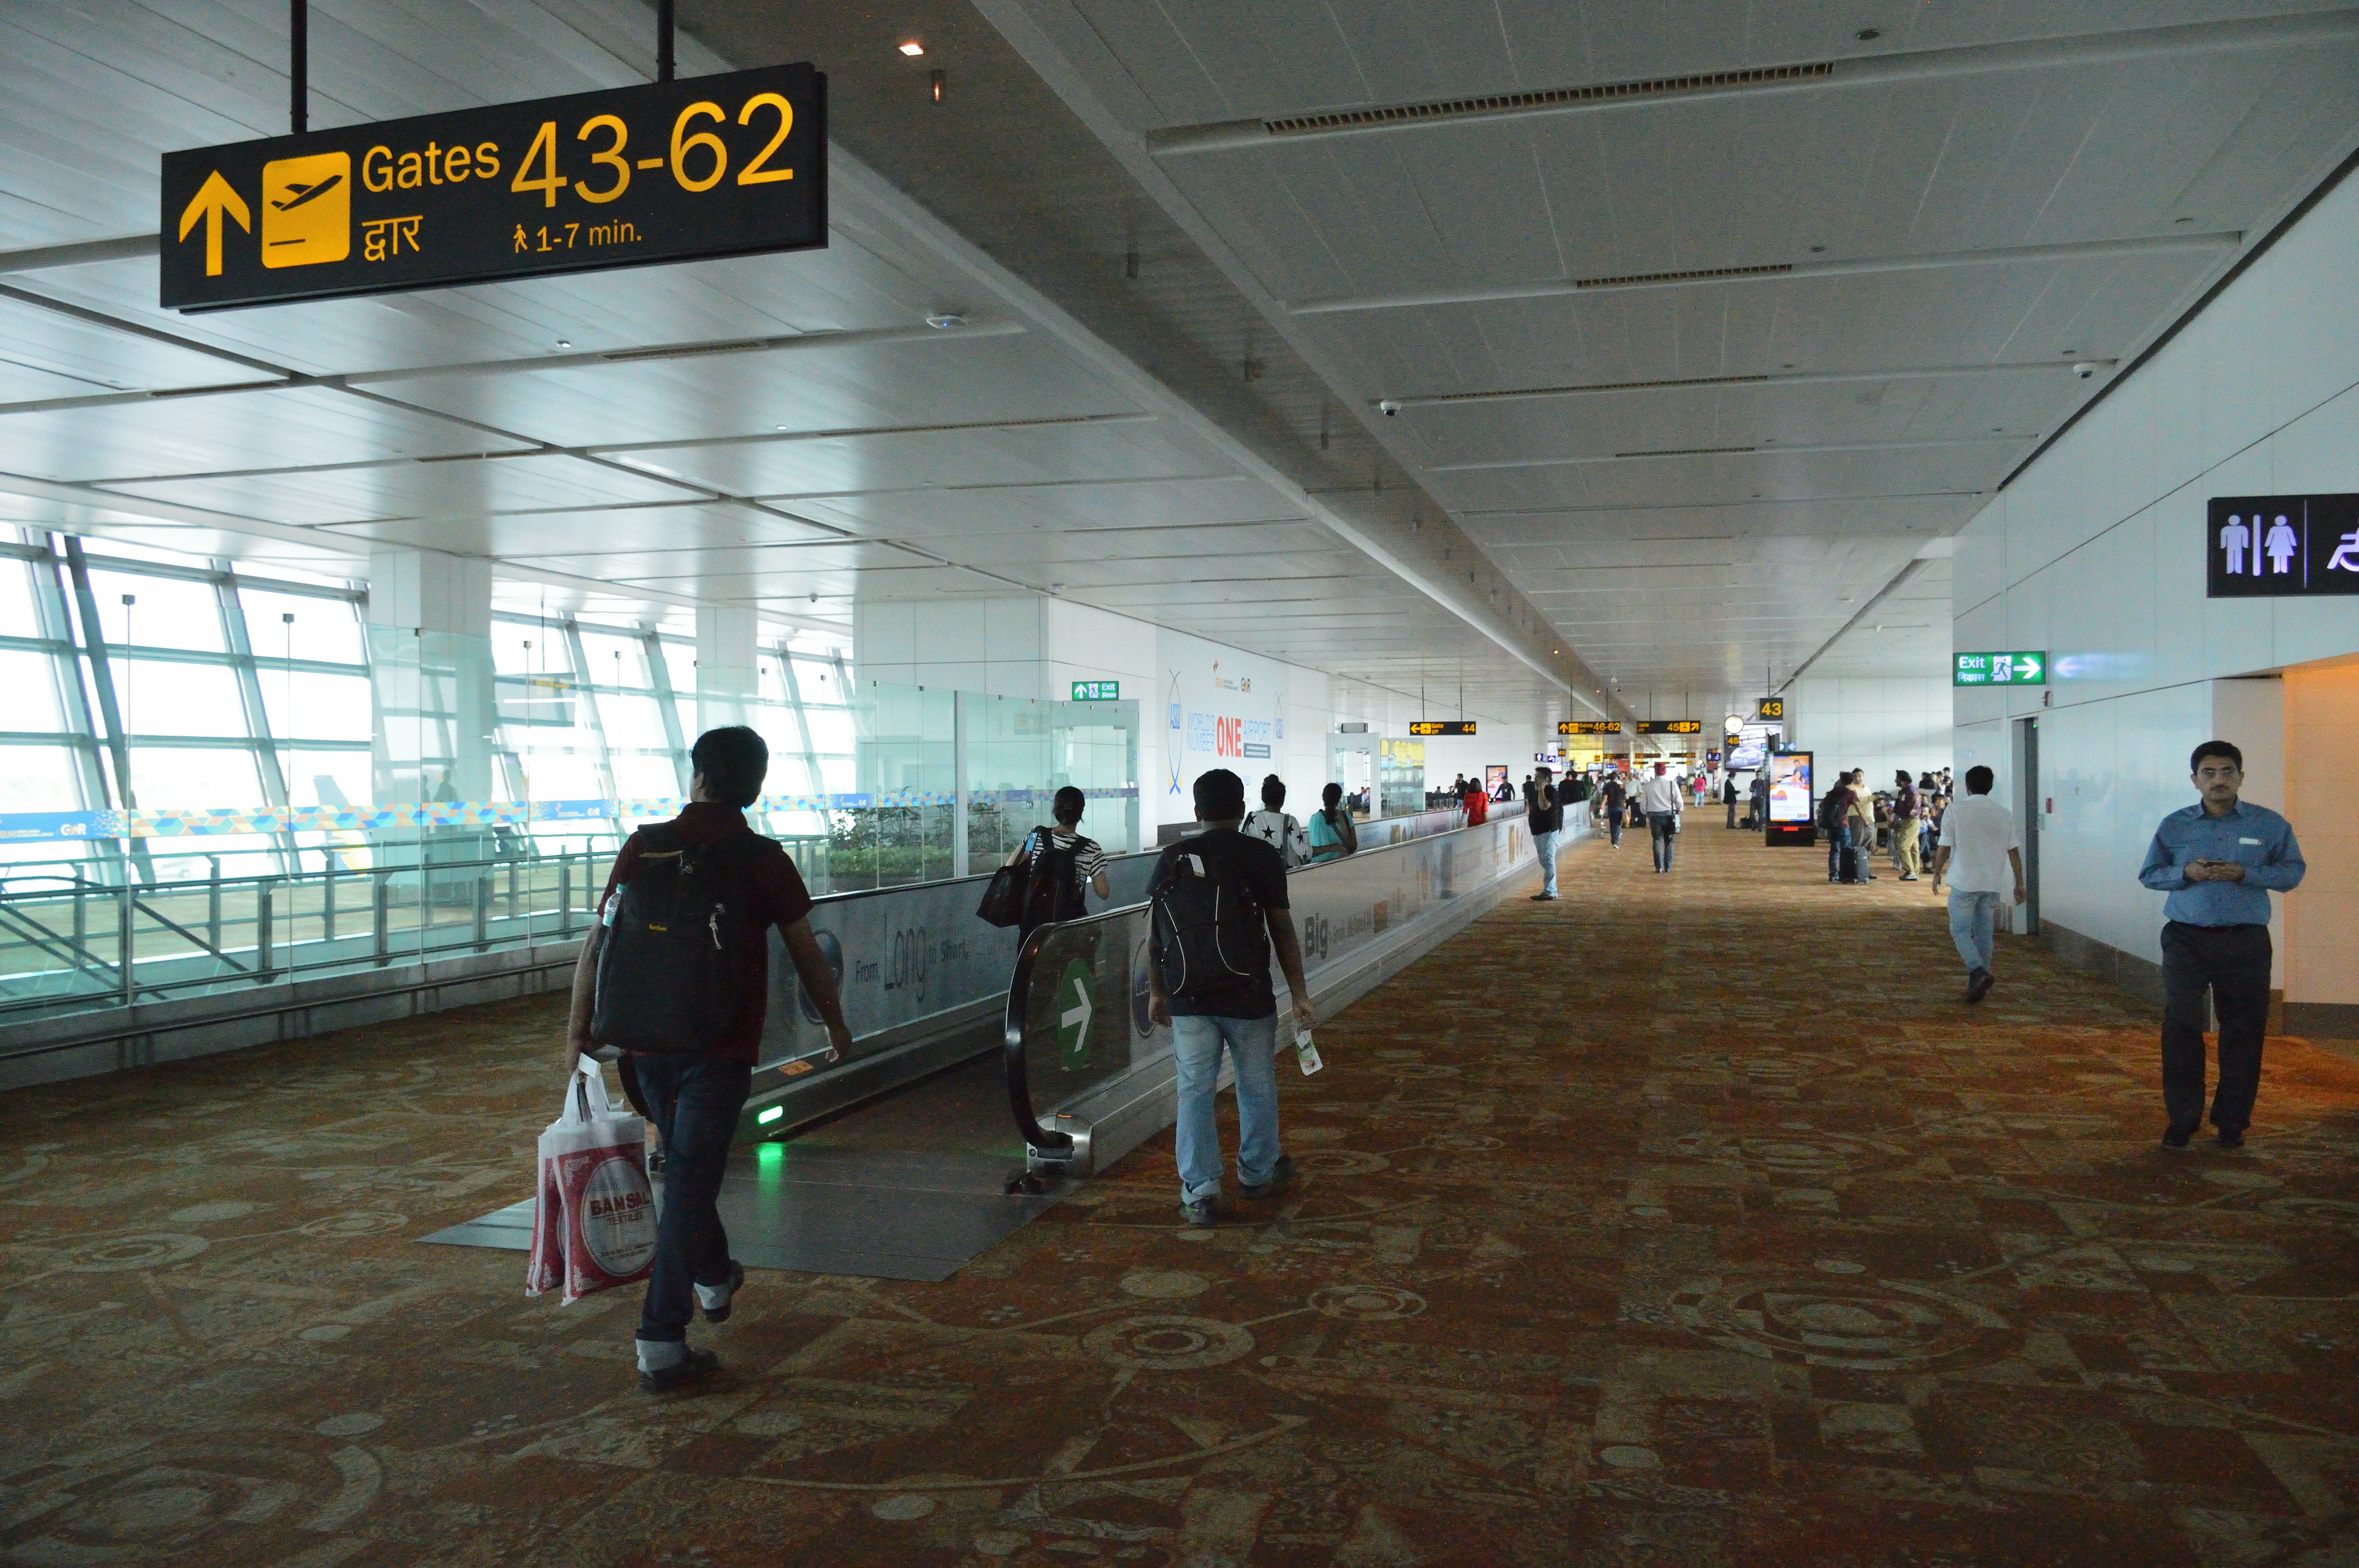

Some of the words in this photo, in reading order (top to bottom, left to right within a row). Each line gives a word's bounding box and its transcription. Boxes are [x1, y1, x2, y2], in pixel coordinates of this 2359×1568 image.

[665, 88, 797, 196] 62
[359, 138, 503, 196] Gates
[507, 110, 632, 214] 43
[359, 214, 424, 264] द्वार
[509, 215, 644, 256] 1-7 min.
[1099, 689, 1118, 699] निकास
[1100, 681, 1118, 693] Exit
[1953, 670, 1987, 684] निकास
[1956, 654, 1986, 670] Exit
[1184, 711, 1218, 733] WORLD
[1185, 731, 1218, 753] NUMBER
[1216, 714, 1244, 759] ONE
[1242, 719, 1272, 745] AIRPORT
[852, 951, 885, 988] From,
[875, 902, 934, 1009] Long
[932, 936, 970, 967] Short,
[1299, 906, 1332, 966] Big